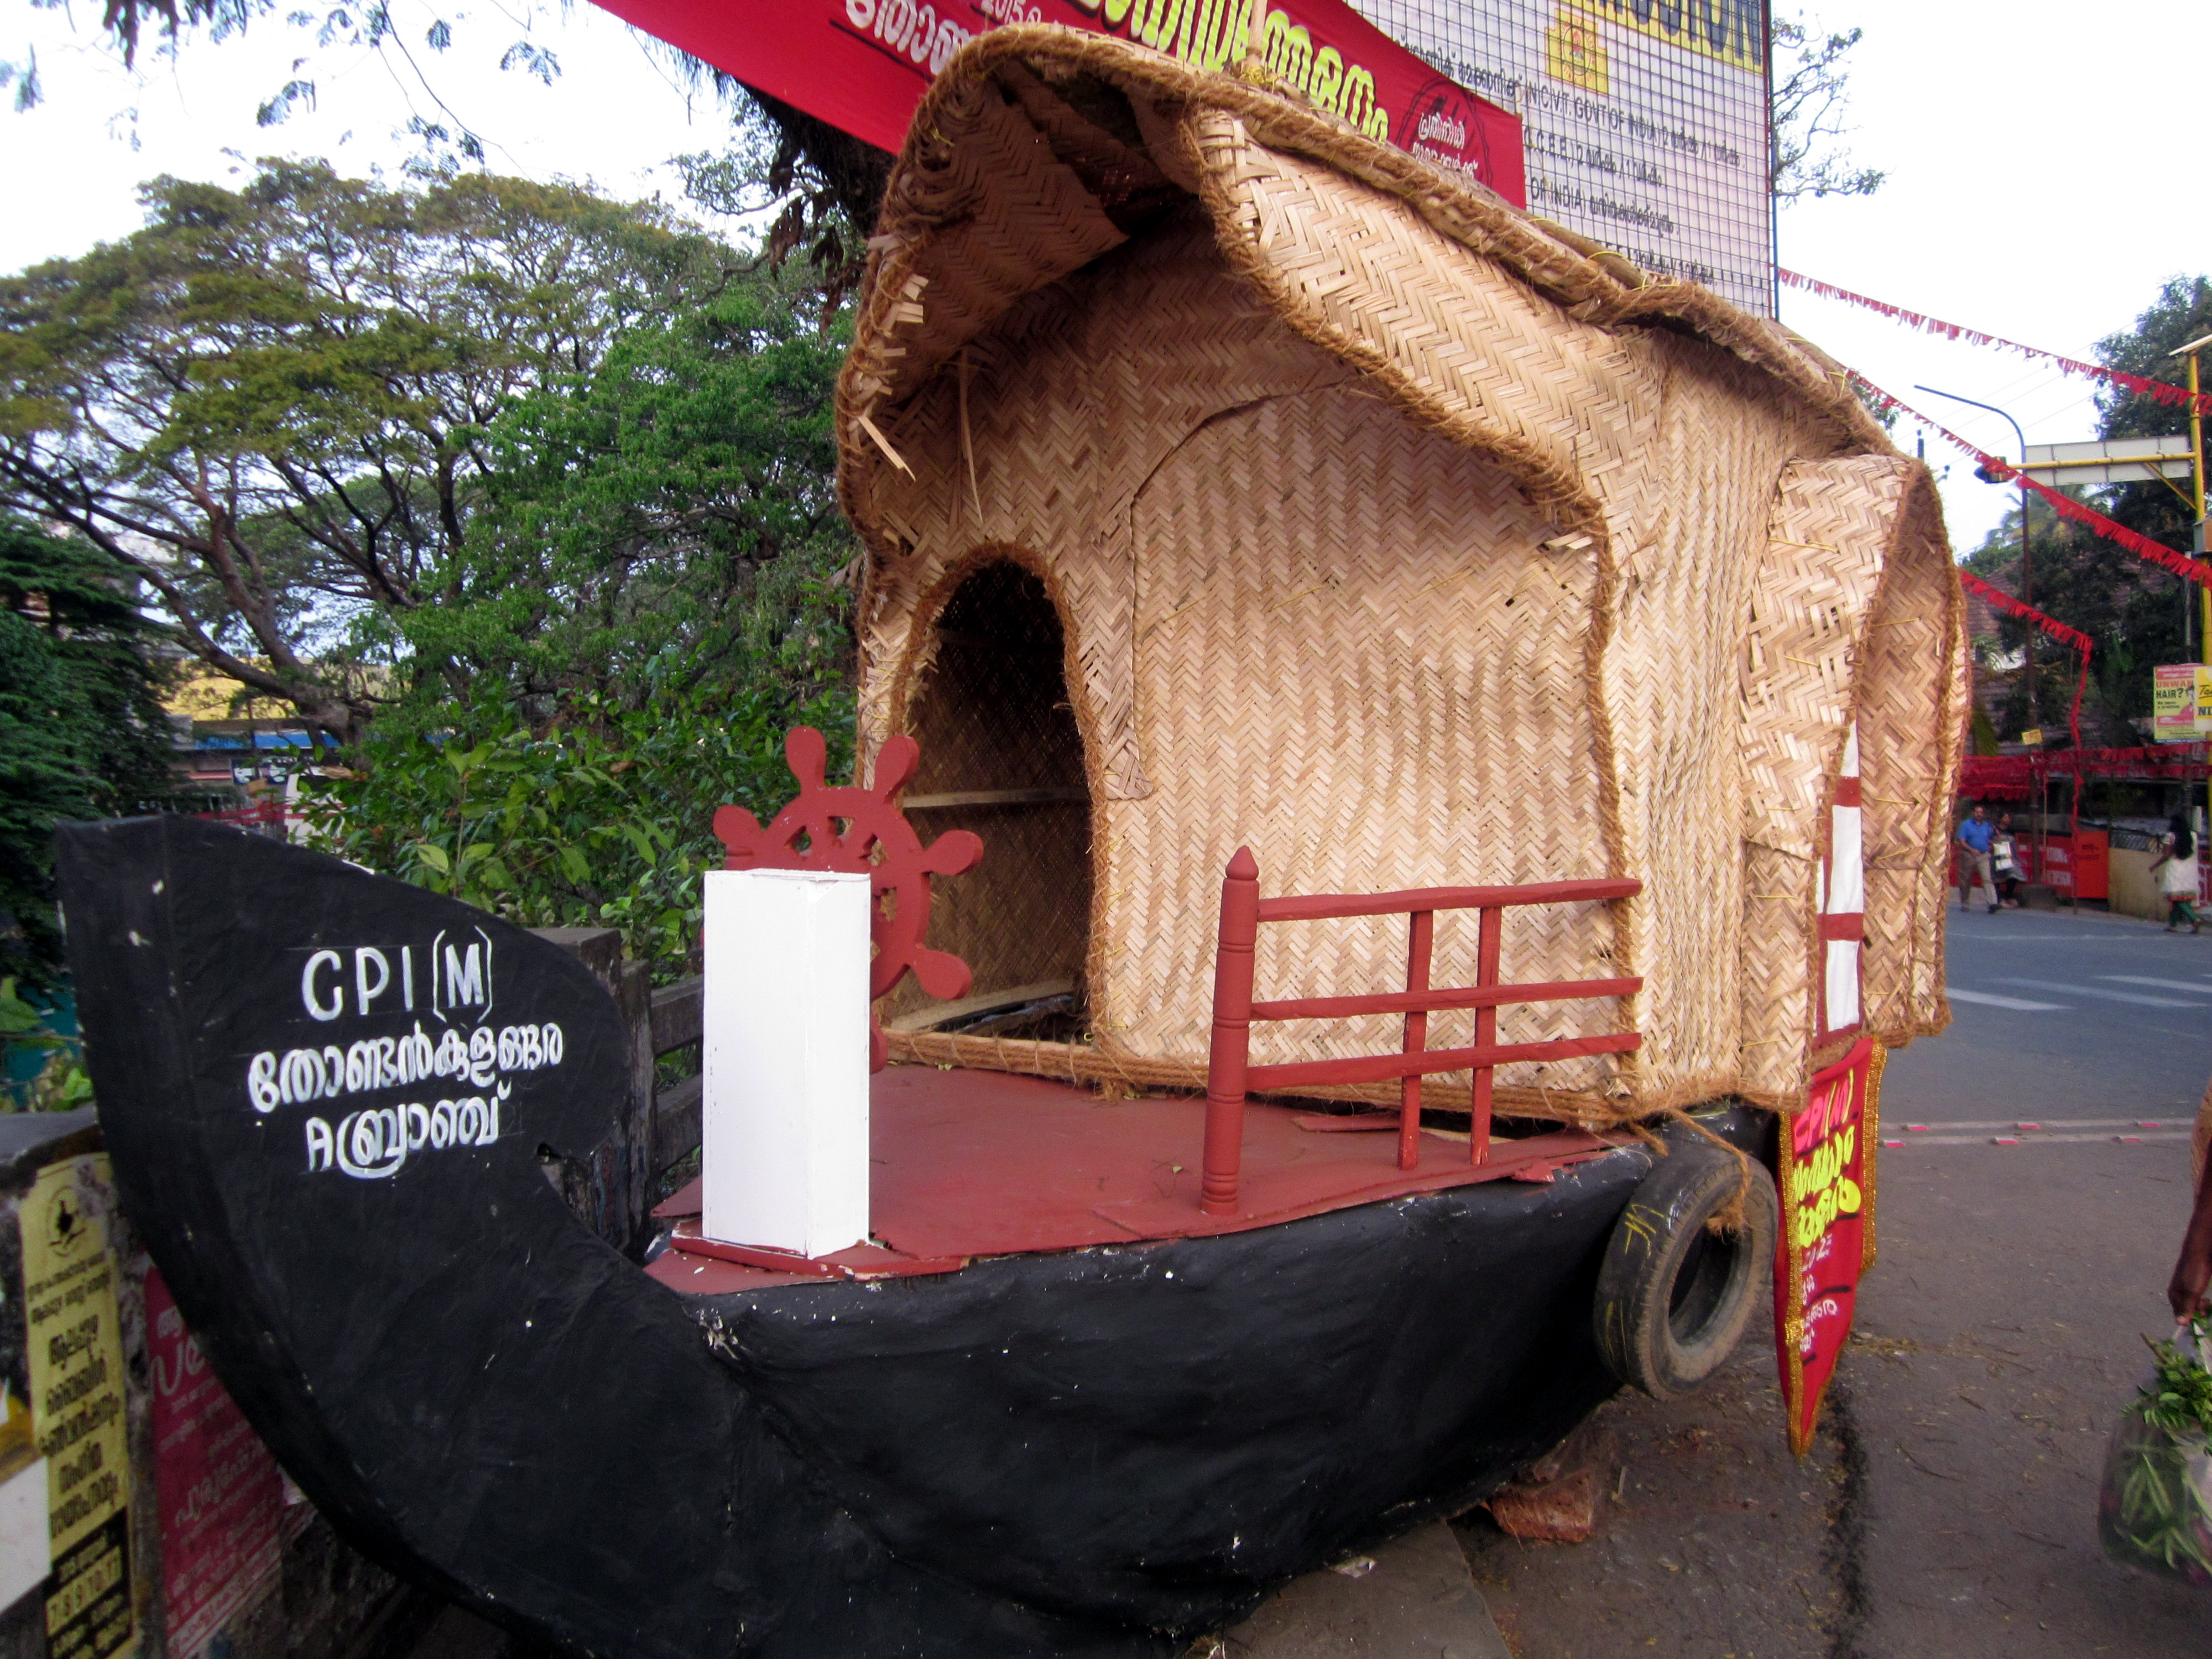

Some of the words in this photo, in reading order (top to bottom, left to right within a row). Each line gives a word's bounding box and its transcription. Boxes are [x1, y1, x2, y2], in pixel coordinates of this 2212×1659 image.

[1412, 107, 1467, 151] പ്രതിനിധി
[1455, 57, 1525, 100] മെക്കാനിക്ക്
[1522, 77, 1575, 120] NCVT.
[1522, 122, 1575, 168] C.C.E.E.
[1571, 90, 1609, 128] GOVT
[1608, 103, 1625, 135] OF
[1530, 173, 1586, 214] ORINDIA
[2150, 686, 2180, 701] HAIR
[2152, 677, 2197, 691] UNWAN
[290, 924, 499, 1032] GPI(M)
[243, 1012, 574, 1124] തോണ്ടൻകുളങ്ങര
[296, 1074, 519, 1189] Aബ്രാഞ്ച്